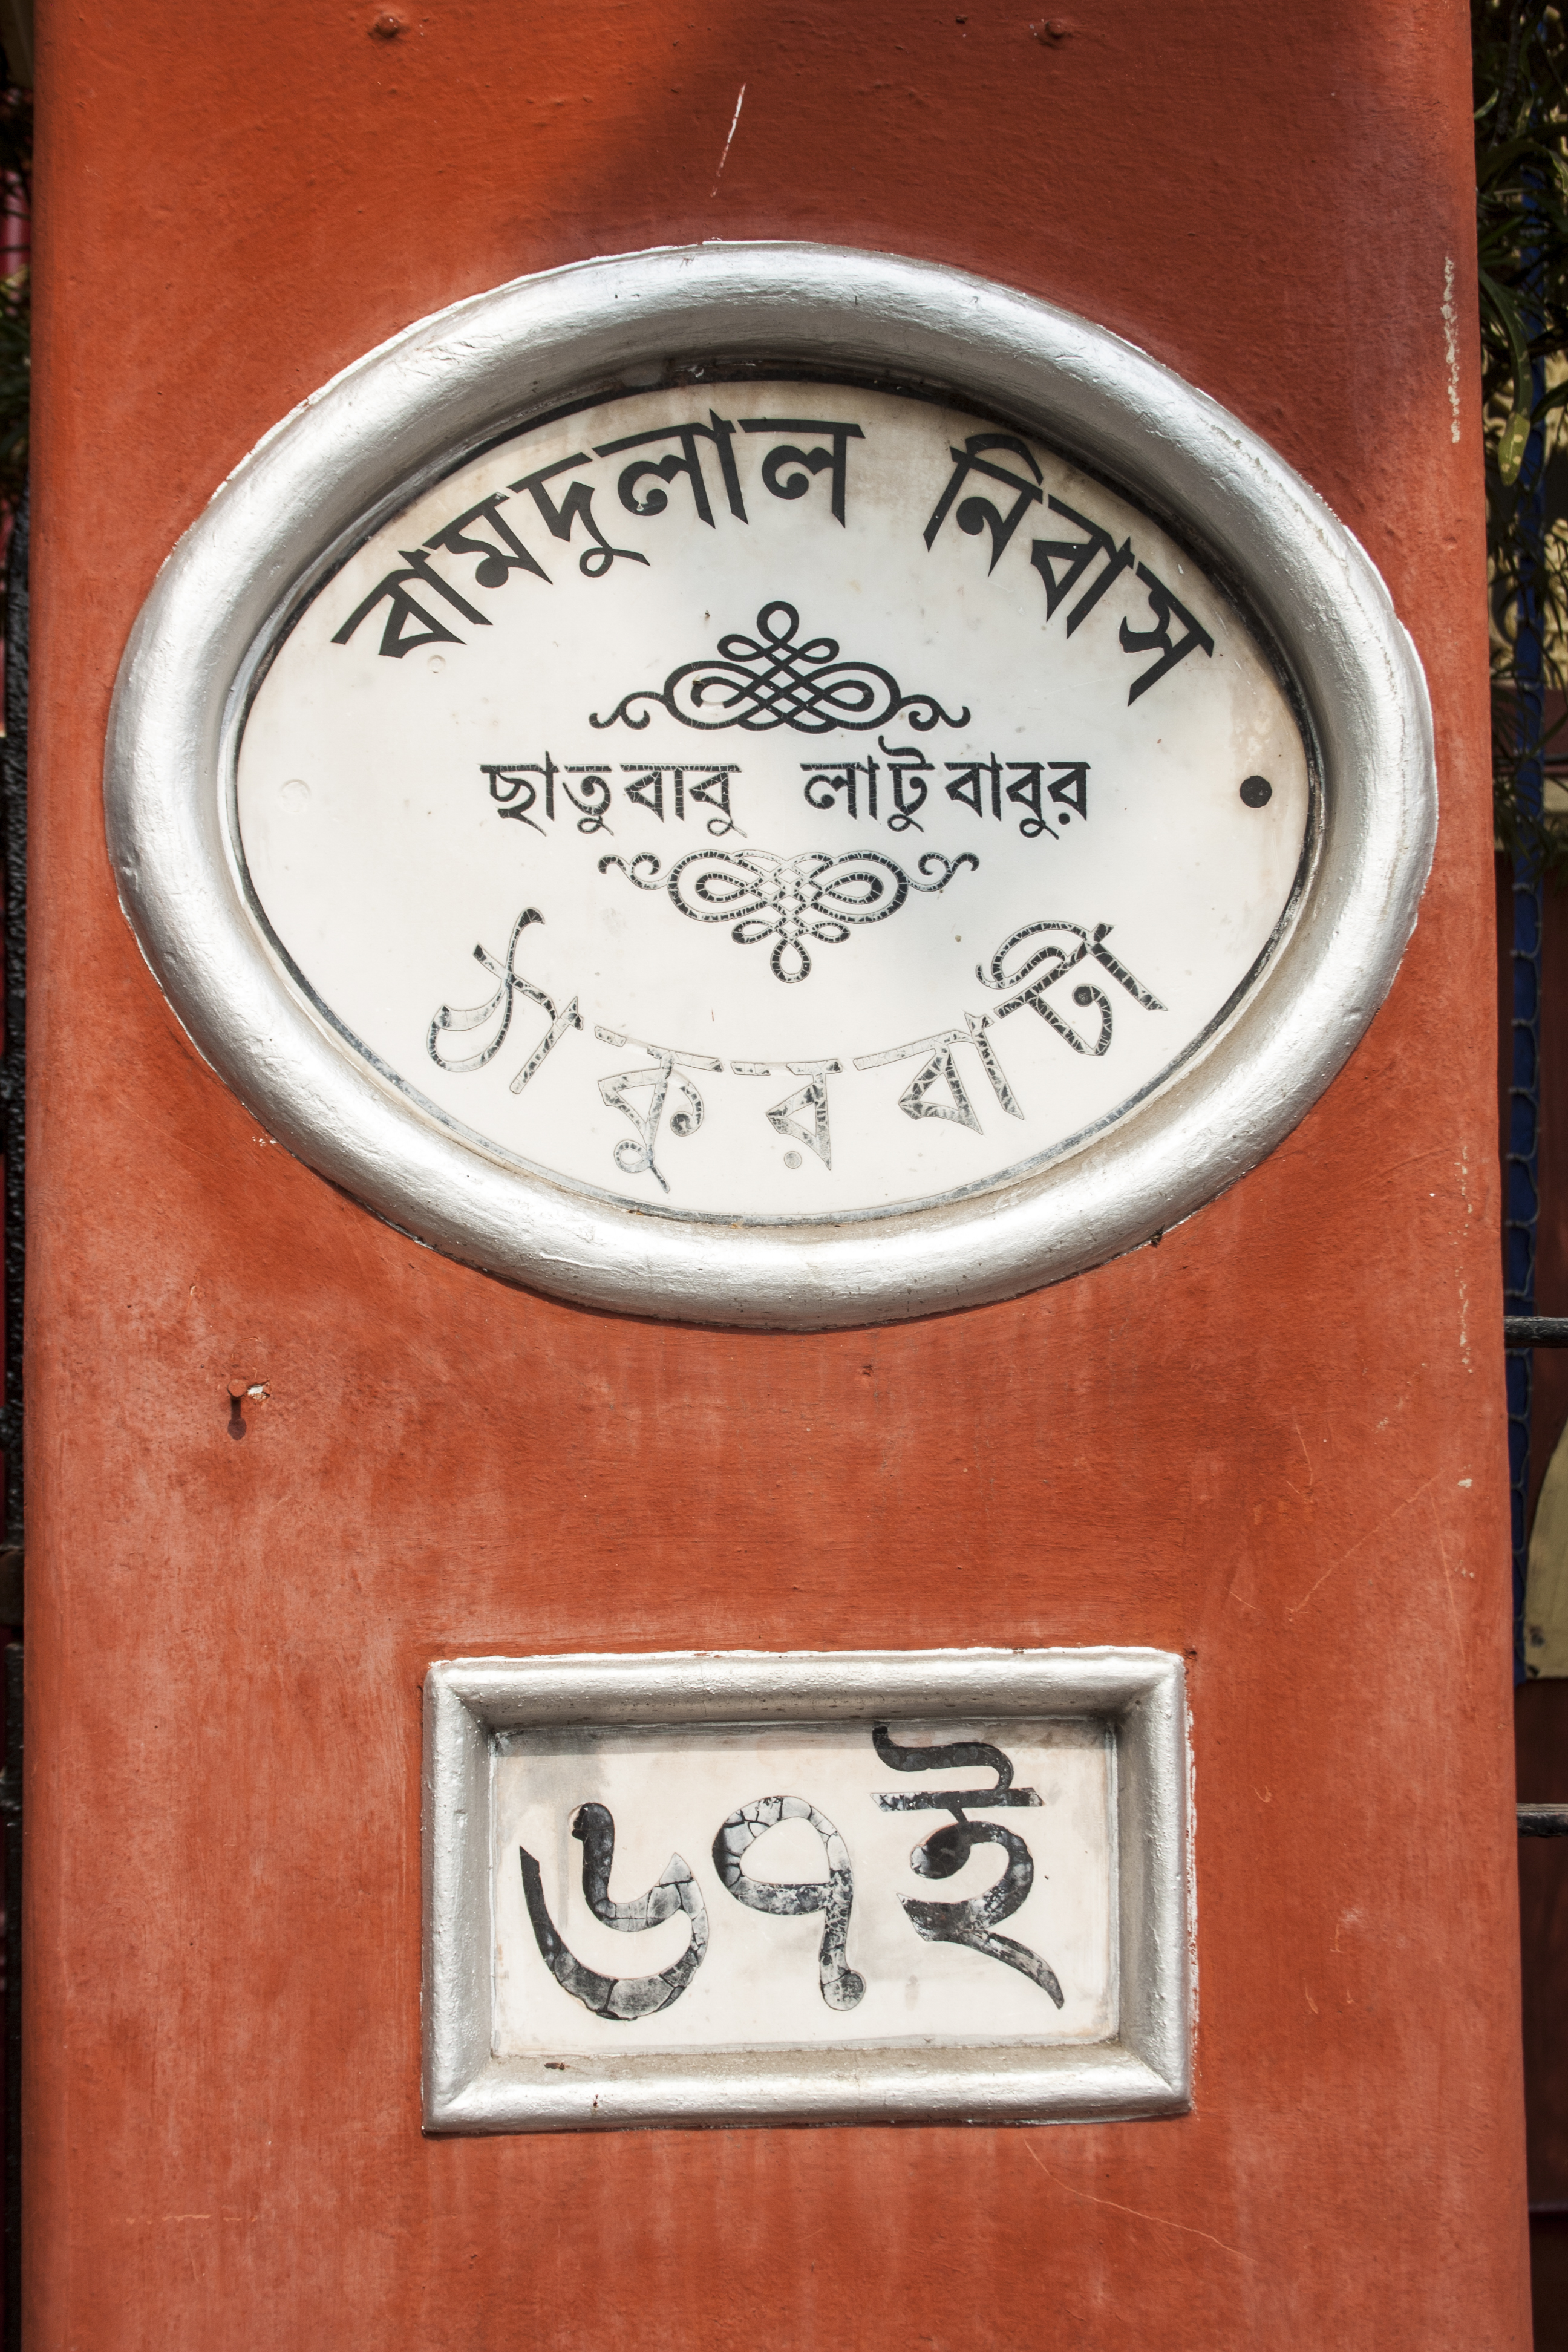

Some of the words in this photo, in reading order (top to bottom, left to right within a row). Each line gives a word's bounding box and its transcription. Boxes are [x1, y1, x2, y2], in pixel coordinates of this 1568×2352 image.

[324, 403, 869, 671] বামদুলাল
[898, 416, 1228, 713] নিবাস
[474, 741, 751, 844] ছাতুবাবু
[794, 725, 1103, 844] লাটু বাবুর
[395, 892, 1180, 1201] ঠাকুরবাঢী
[509, 1711, 1081, 2040] ৬৭ই